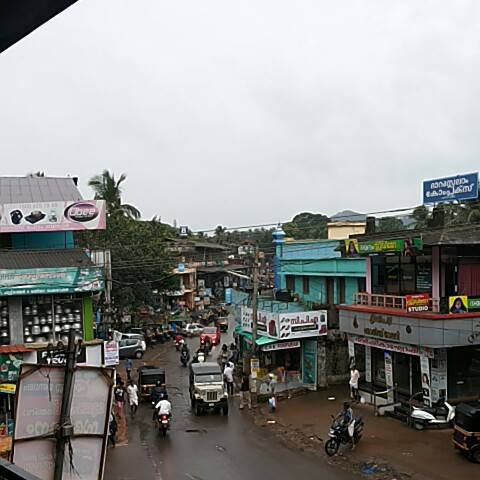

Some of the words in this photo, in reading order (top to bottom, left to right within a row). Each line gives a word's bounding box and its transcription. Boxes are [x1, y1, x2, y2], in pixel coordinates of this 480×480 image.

[404, 302, 432, 314] STUDIO